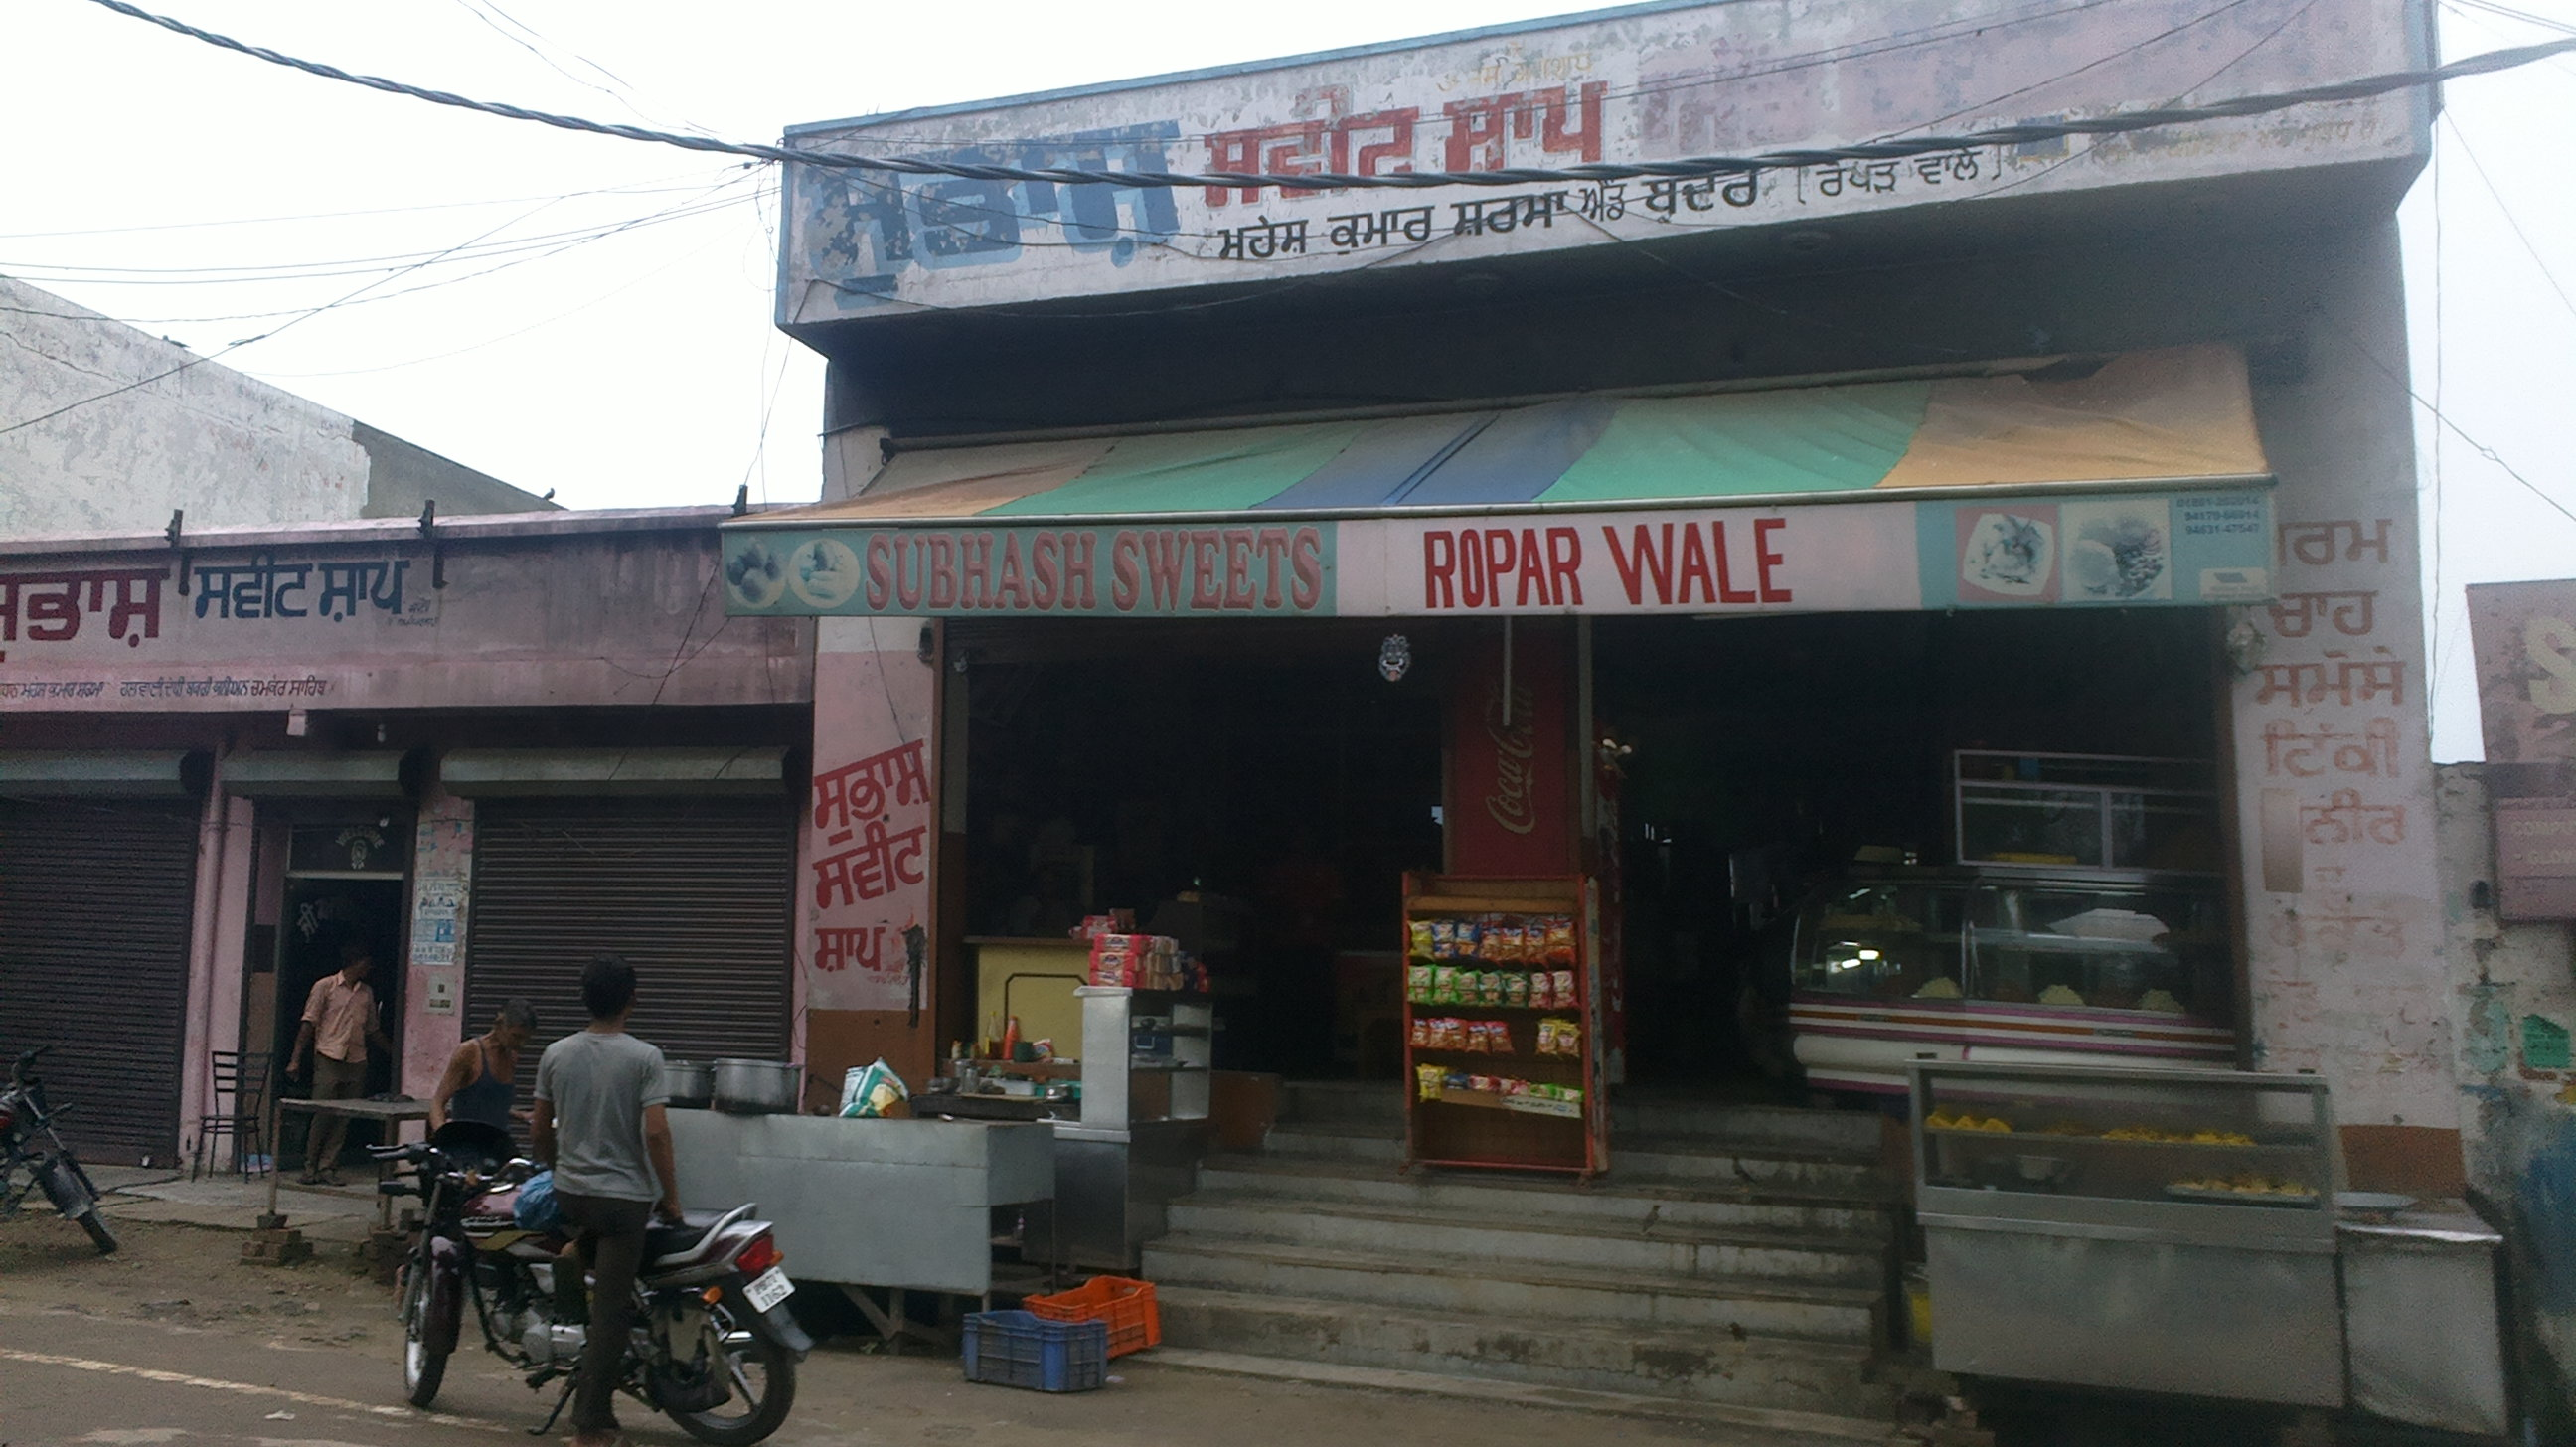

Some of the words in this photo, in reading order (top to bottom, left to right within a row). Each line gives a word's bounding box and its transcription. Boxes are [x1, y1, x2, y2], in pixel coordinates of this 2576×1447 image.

[795, 103, 1197, 319] ਸੁਤਾਸ਼
[1207, 207, 1316, 269] ਮਹੇਸ਼
[1193, 79, 1434, 222] ਸਵੀਟ
[1316, 198, 1440, 258] ਕਮਾਰ
[1441, 183, 1576, 247] ਸ਼ਰਮਾ
[1431, 75, 1621, 187] ਸਾਪ
[1572, 174, 1639, 229] ਐਂਡ
[1639, 168, 1771, 226] ਬਦਰ
[1803, 154, 1905, 205] ਰੇਪੜ
[1904, 145, 1991, 203] ਵਾਲੇ
[3, 558, 175, 665] ਭਾਸ਼
[190, 549, 316, 631] ਸਵੀਟ
[314, 550, 411, 628] ਸ਼ਾਪ
[855, 525, 1108, 618] SUBHASH
[1103, 523, 1331, 615] SWEETS
[1411, 515, 1592, 617] ROPAR
[1594, 507, 1805, 613] WALE
[2256, 578, 2395, 649] ਚਾਹ
[2287, 507, 2401, 574] ਰਮ
[248, 674, 289, 703] ਚਮਕਂਰ
[283, 673, 335, 703] ਸਾਹਿਬ
[2245, 638, 2416, 721] ਸਮੋਸੇ
[2239, 709, 2411, 789] ਟਿੱਕੀ
[810, 725, 941, 854] ਸੁਭਾਸ਼
[809, 814, 933, 916] ਸਵੀਟ
[807, 916, 889, 977] ਸ਼ਾਪ